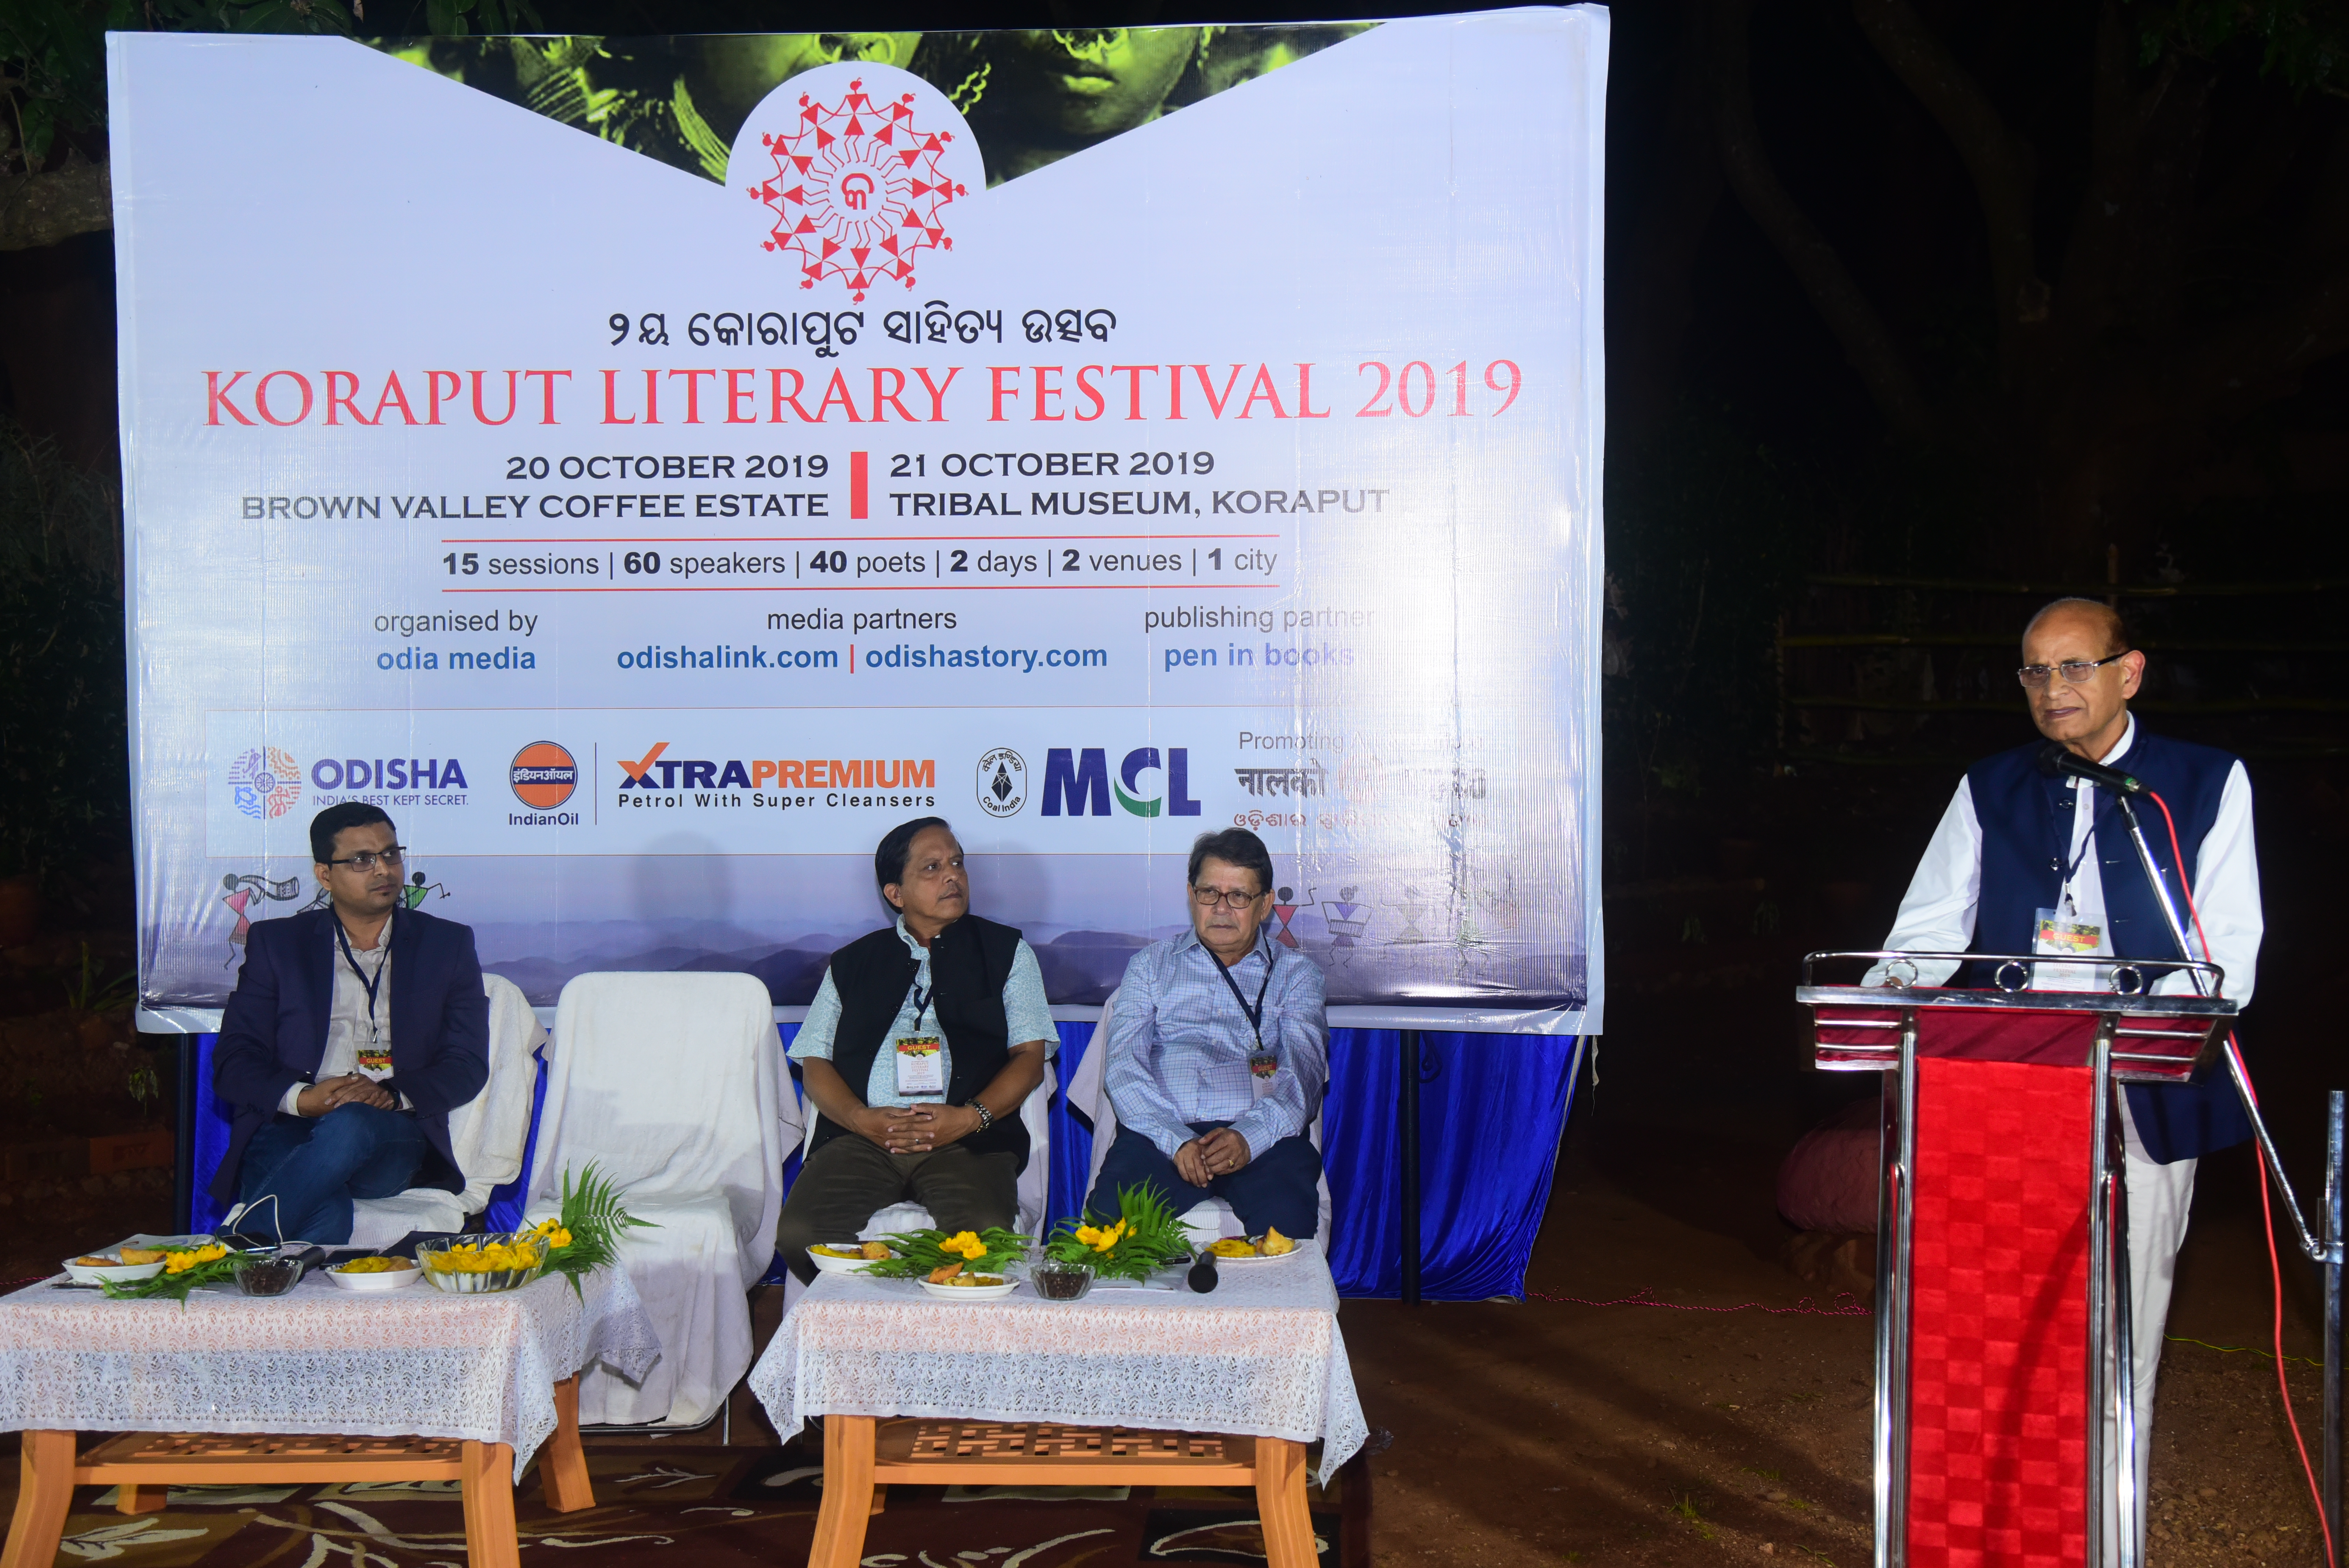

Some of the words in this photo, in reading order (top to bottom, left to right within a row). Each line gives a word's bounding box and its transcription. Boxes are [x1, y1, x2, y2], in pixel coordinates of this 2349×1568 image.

[608, 306, 670, 351] ୨ୟ
[684, 306, 866, 360] କୋରାପୁଟ
[880, 293, 1003, 347] ସାହିତ୍ୟ
[1017, 300, 1120, 347] ଉତ୍ସବ
[200, 364, 574, 429] KORAPUT
[596, 362, 966, 427] LITERARY
[986, 360, 1333, 424] FESTIVAL
[1349, 351, 1523, 428] 2019
[503, 449, 556, 481] 20
[554, 452, 736, 479] OCTOBER
[740, 449, 830, 481] 2019
[887, 452, 931, 484] 21
[936, 447, 1122, 481] OCTOBER
[1126, 445, 1216, 481] 2019
[237, 492, 384, 523] BROWN
[392, 491, 530, 522] VALLEY
[537, 492, 685, 520] COFFEE
[693, 490, 830, 520] ESTATE
[886, 489, 1025, 520] TRIBAL
[1029, 488, 1192, 516] MUSEUM
[1210, 485, 1392, 515] KORAPUT
[436, 543, 482, 582] 15
[482, 550, 600, 579] sessions
[615, 545, 665, 584] 60
[665, 545, 793, 584] speakers
[795, 541, 849, 579] 40
[853, 548, 930, 581] poets
[936, 545, 973, 579] 2
[971, 545, 1046, 582] days
[1044, 545, 1082, 579] 2
[1082, 543, 1191, 577] venues
[1191, 541, 1227, 577] 1
[1227, 541, 1280, 579] city
[365, 603, 503, 639] organised
[501, 601, 543, 641] by
[761, 601, 847, 637] media
[847, 601, 959, 637] partners
[1139, 599, 1280, 637] publishing
[1283, 602, 1376, 636] partner
[369, 641, 440, 677] odia
[445, 643, 537, 673] media
[613, 641, 839, 671] odishalink.com
[864, 641, 1109, 677] odishastory.com
[1161, 645, 1217, 675] pen
[1223, 640, 1256, 668] in
[1263, 640, 1356, 668] books
[1237, 729, 1346, 757] Promoting
[310, 754, 472, 793] ODISHA
[507, 765, 574, 784] इंडियनऑयल
[614, 738, 755, 792] XTRA
[749, 757, 936, 789] PREMIUM
[979, 752, 999, 773] कोल
[997, 747, 1023, 772] इण्डिया
[1039, 743, 1204, 818] MCL
[1231, 755, 1329, 798] नालको
[313, 792, 361, 808] INDIA
[358, 793, 389, 807] BEST
[390, 793, 423, 807] KEPT
[506, 811, 559, 829] Indian
[556, 811, 579, 826] Oil
[617, 791, 684, 809] Petrol
[690, 788, 747, 812] With
[749, 790, 822, 812] Super
[823, 791, 937, 809] Cleansers
[979, 793, 1002, 814] Coal
[1000, 795, 1024, 814] India
[1233, 809, 1310, 832] ଓଡ଼ିଶାର